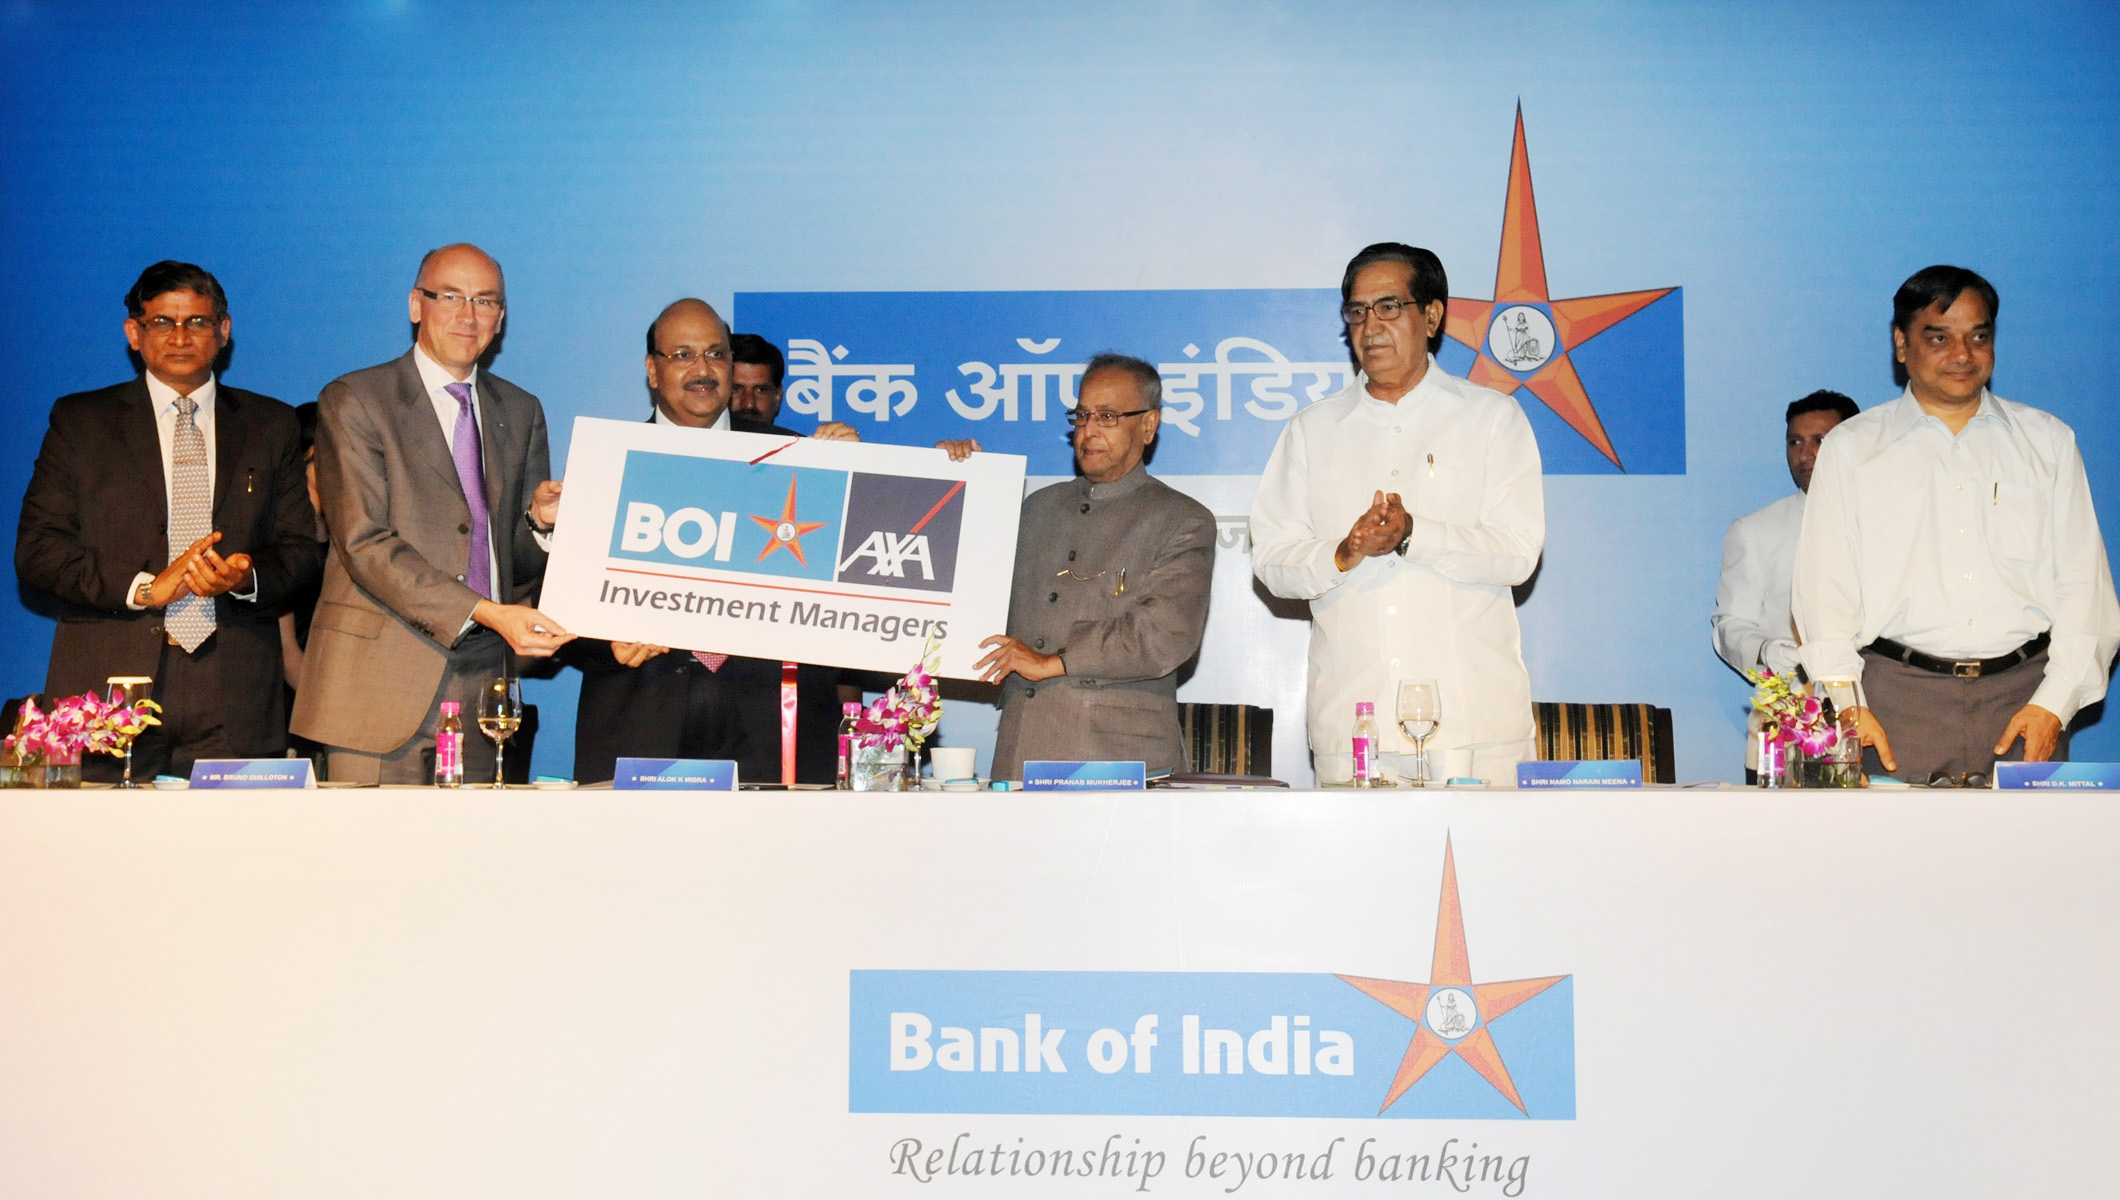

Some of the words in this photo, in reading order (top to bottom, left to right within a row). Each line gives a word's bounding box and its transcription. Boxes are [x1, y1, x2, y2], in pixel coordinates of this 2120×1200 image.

[781, 333, 923, 428] बैंक
[943, 328, 1359, 444] ऑ इंडि
[614, 496, 743, 567] BOI
[833, 527, 939, 583] AXA
[591, 575, 783, 628] Investment
[783, 598, 951, 645] १॥२११२०१५
[888, 1010, 1074, 1078] Bank
[1084, 1012, 1162, 1077] of
[1181, 1009, 1360, 1083] India
[888, 1129, 1169, 1197] Relationship
[1183, 1132, 1350, 1197] beyond
[1353, 1135, 1537, 1199] banking